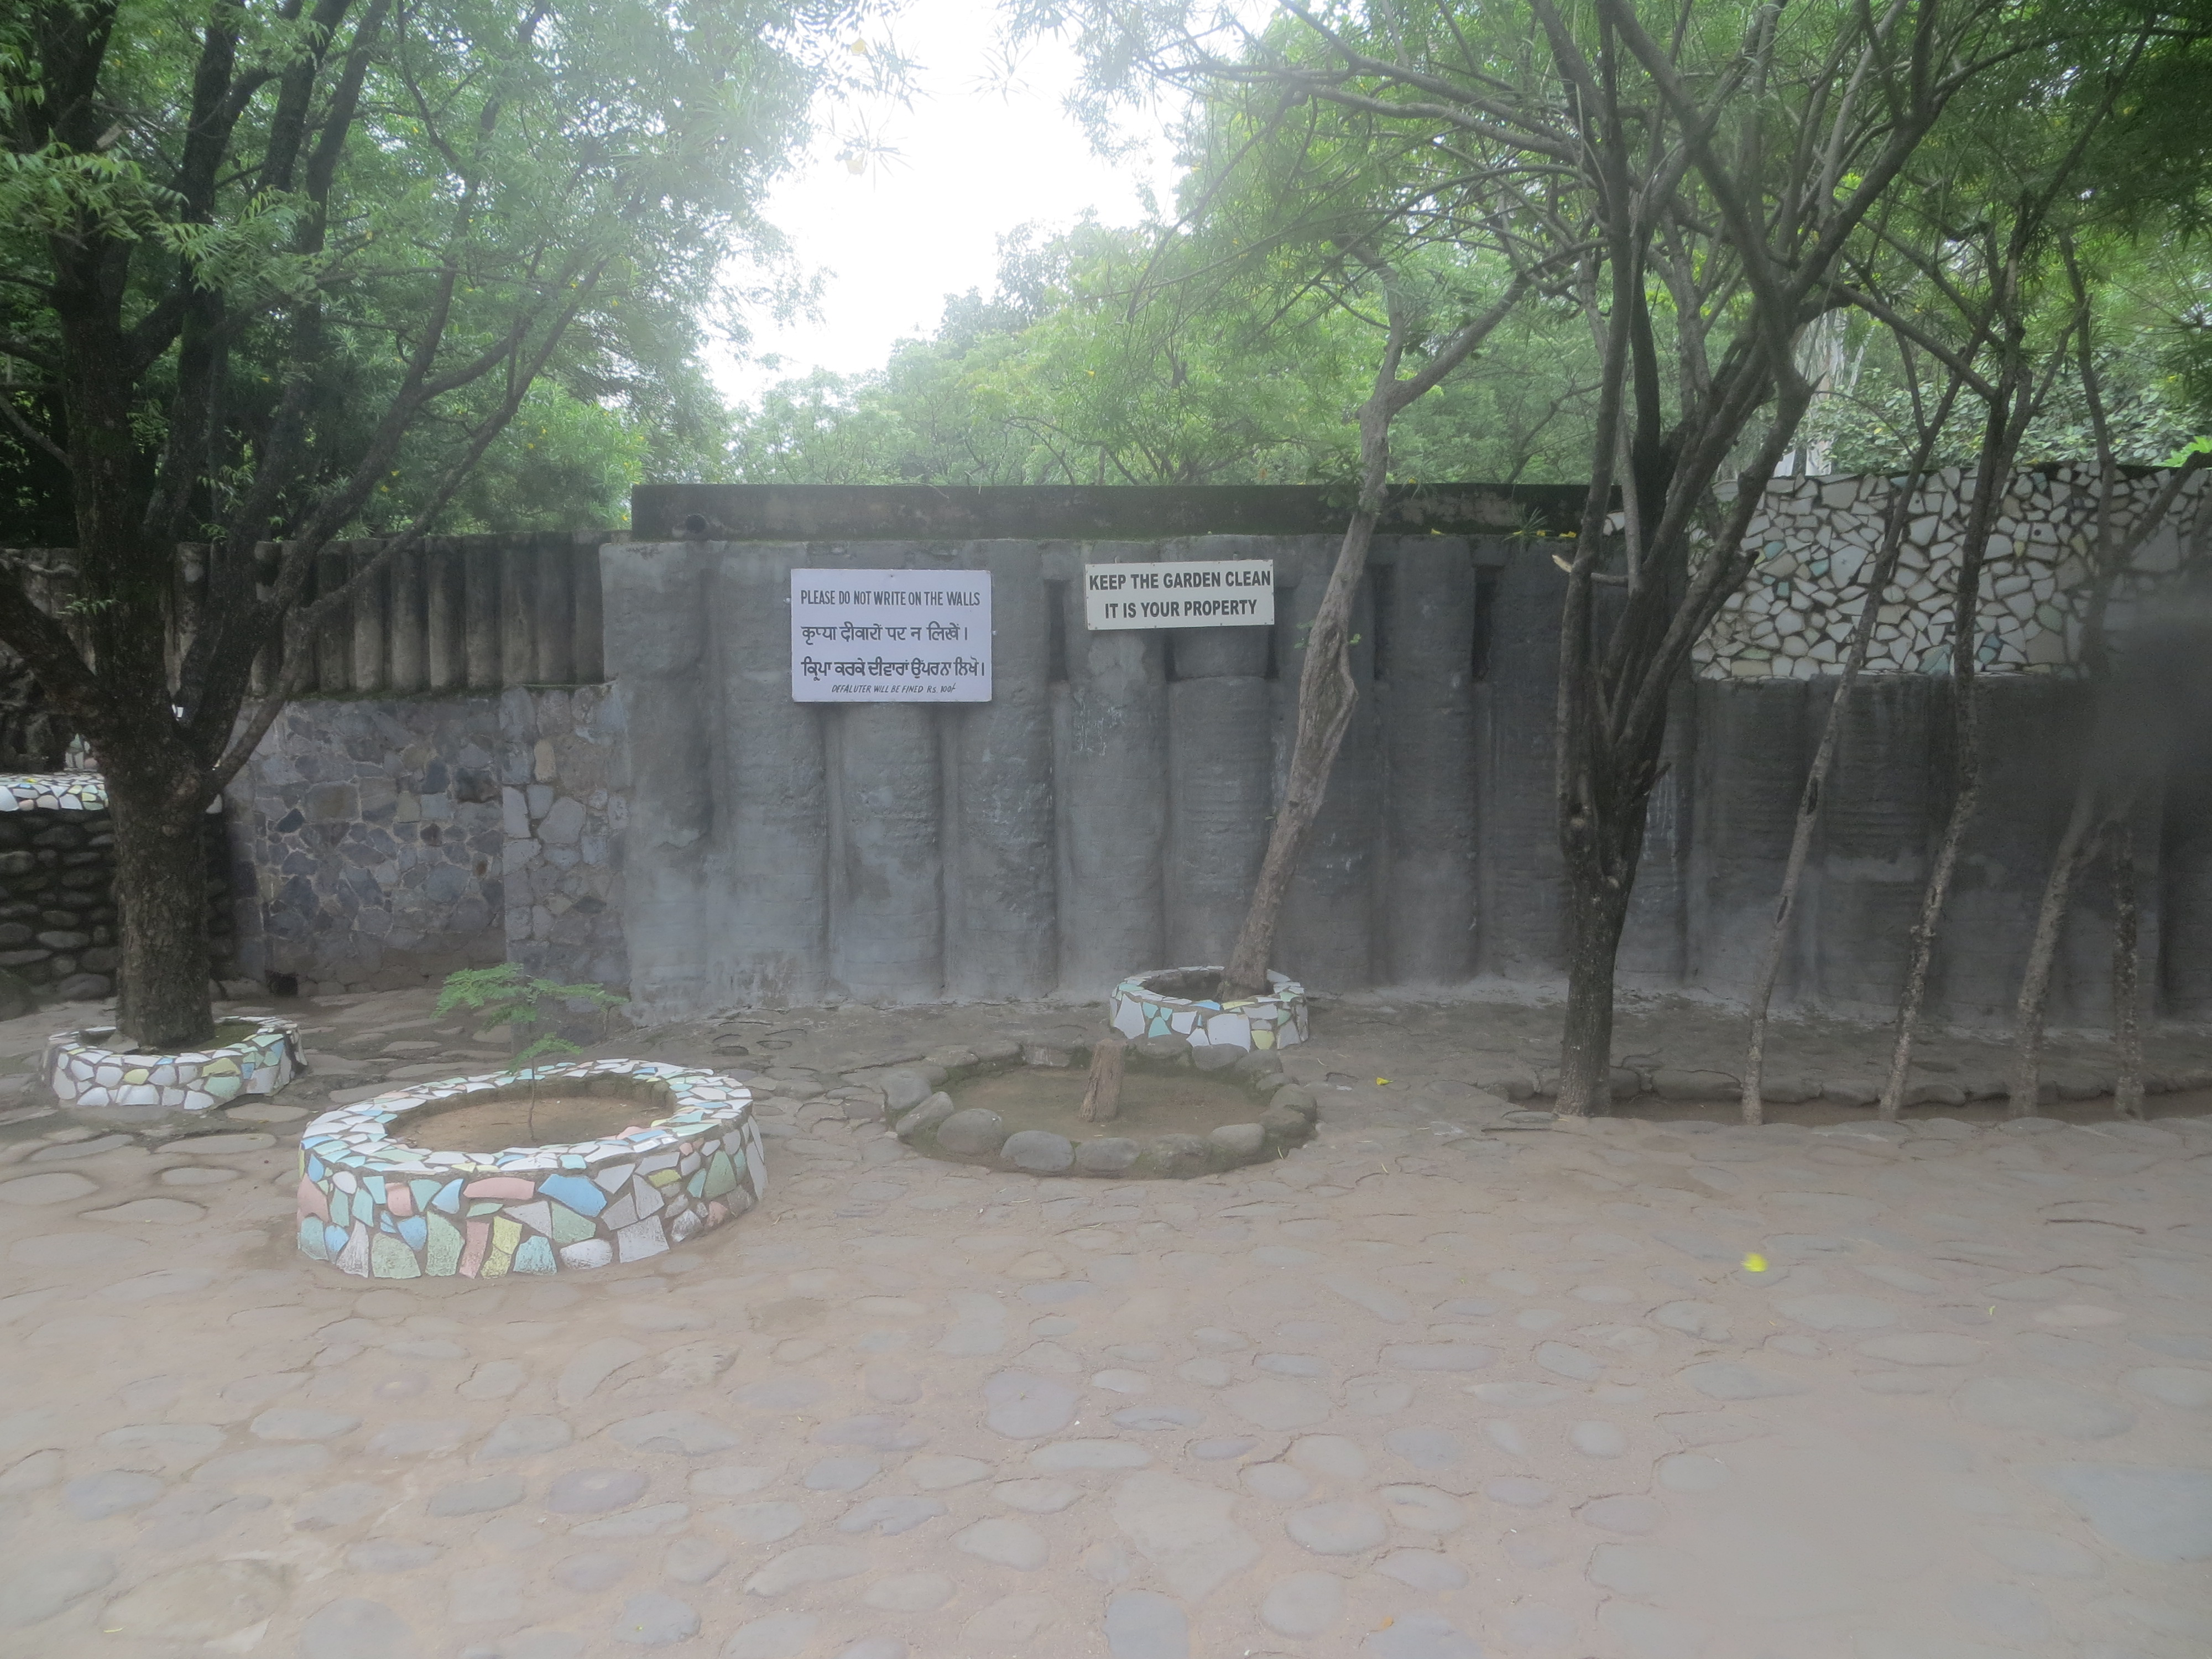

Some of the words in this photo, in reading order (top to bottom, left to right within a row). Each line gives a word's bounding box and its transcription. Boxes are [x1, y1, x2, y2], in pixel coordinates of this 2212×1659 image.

[1087, 571, 1127, 593] KEEP
[1126, 570, 1161, 591] THE
[1161, 568, 1223, 590] GARDEN
[1223, 568, 1273, 588] CLEAN
[796, 586, 836, 609] PLEASE
[837, 587, 851, 607] DO
[851, 588, 873, 607] NOT
[871, 588, 907, 607] WRITE
[907, 588, 923, 608] ON
[923, 588, 945, 608] THE
[945, 587, 984, 608] WALLS
[1102, 598, 1120, 620] IT
[1120, 599, 1139, 619] IS
[1138, 599, 1181, 619] YOUR
[1182, 596, 1258, 618] PROPERTY
[796, 622, 838, 648] कृप्या
[837, 619, 884, 645] दीवारों
[884, 621, 907, 642] पर
[907, 623, 925, 643] न
[924, 615, 963, 644] लिखें
[797, 651, 833, 684] ਕਿूਪਾ
[832, 653, 867, 679] ਕਰਕੇ
[866, 654, 909, 679] ਦੀਵਾਰਾਂ
[909, 654, 942, 682] ਉੱਪਰ
[938, 658, 953, 679] ਨਾ
[952, 654, 982, 680] ਇਖੋ
[828, 681, 874, 696] DEFALUTER
[872, 682, 891, 695] WILL
[889, 683, 904, 695] BE
[900, 682, 927, 695] FINED
[924, 683, 941, 697] RS.
[937, 681, 959, 696] 1੦੦੯